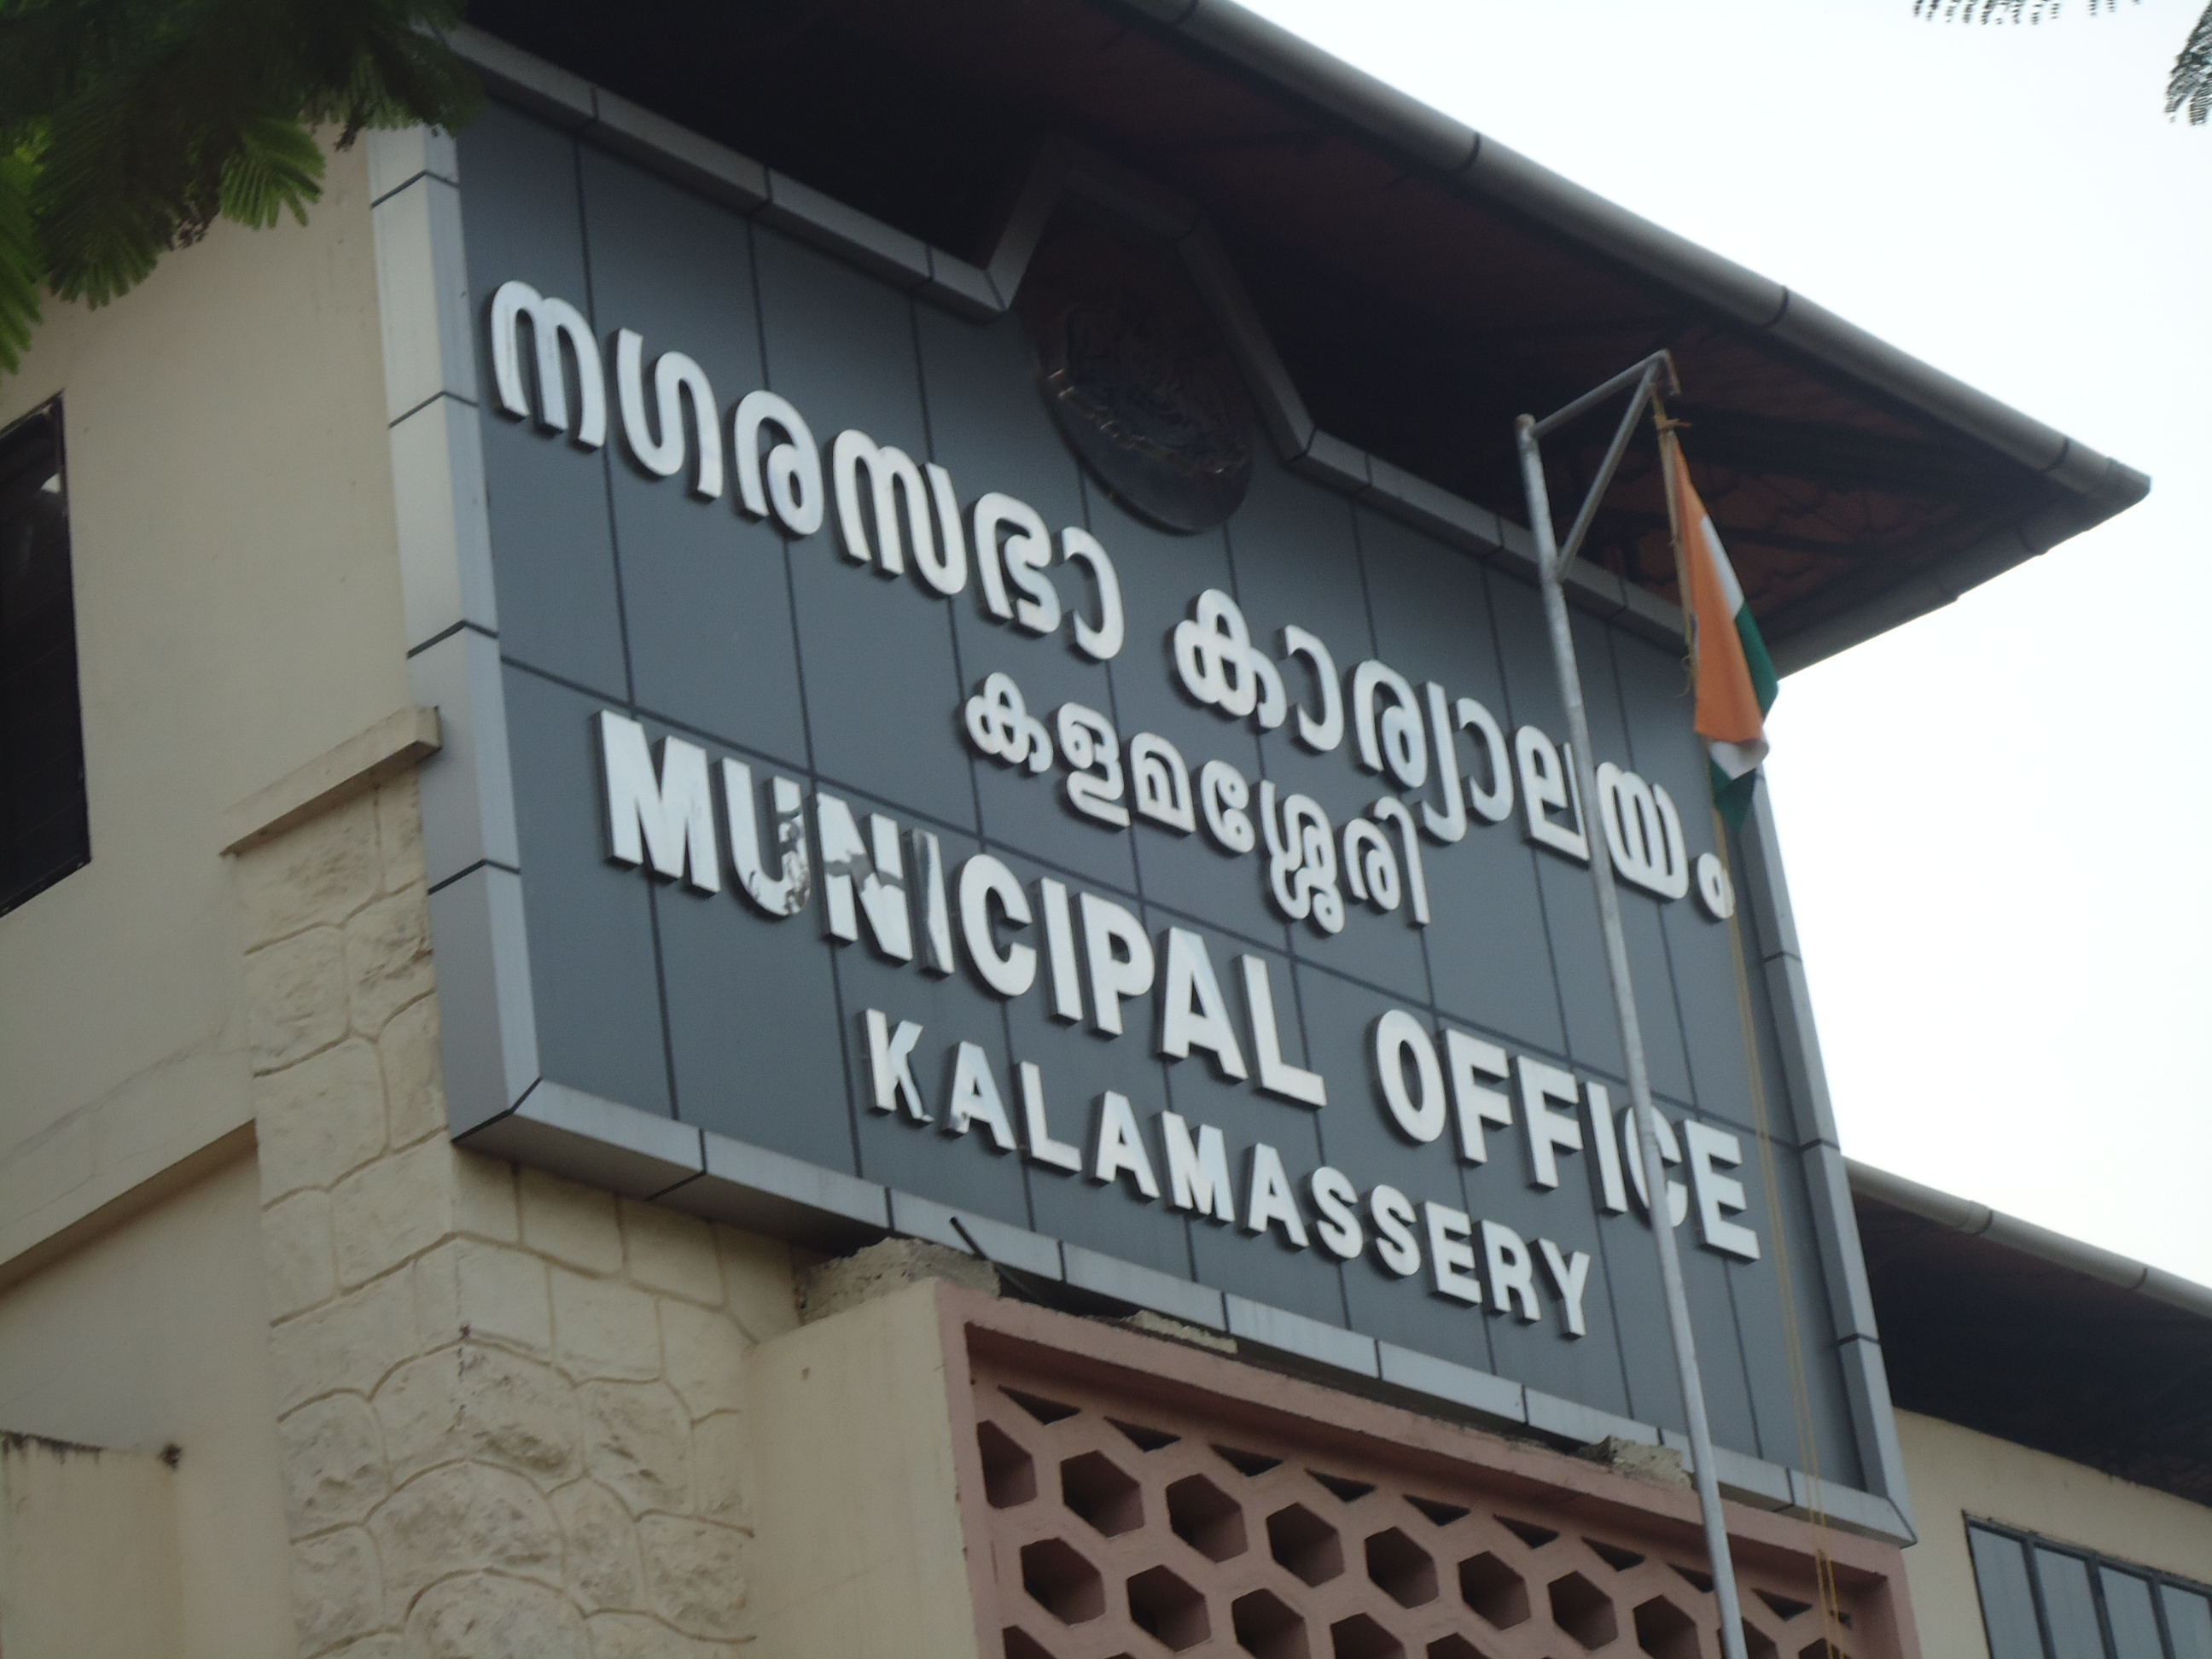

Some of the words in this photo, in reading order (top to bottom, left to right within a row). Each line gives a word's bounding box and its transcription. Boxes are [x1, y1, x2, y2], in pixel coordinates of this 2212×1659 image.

[476, 270, 1126, 666] നഗരസഭാ
[593, 703, 1332, 1113] MUNICIPAL
[956, 662, 1435, 936] കളമശ്ശേരി
[1168, 573, 1746, 925] കാര്യാലയം
[854, 1000, 1600, 1341] KALAMASSERY
[1361, 996, 1764, 1271] OFFICE